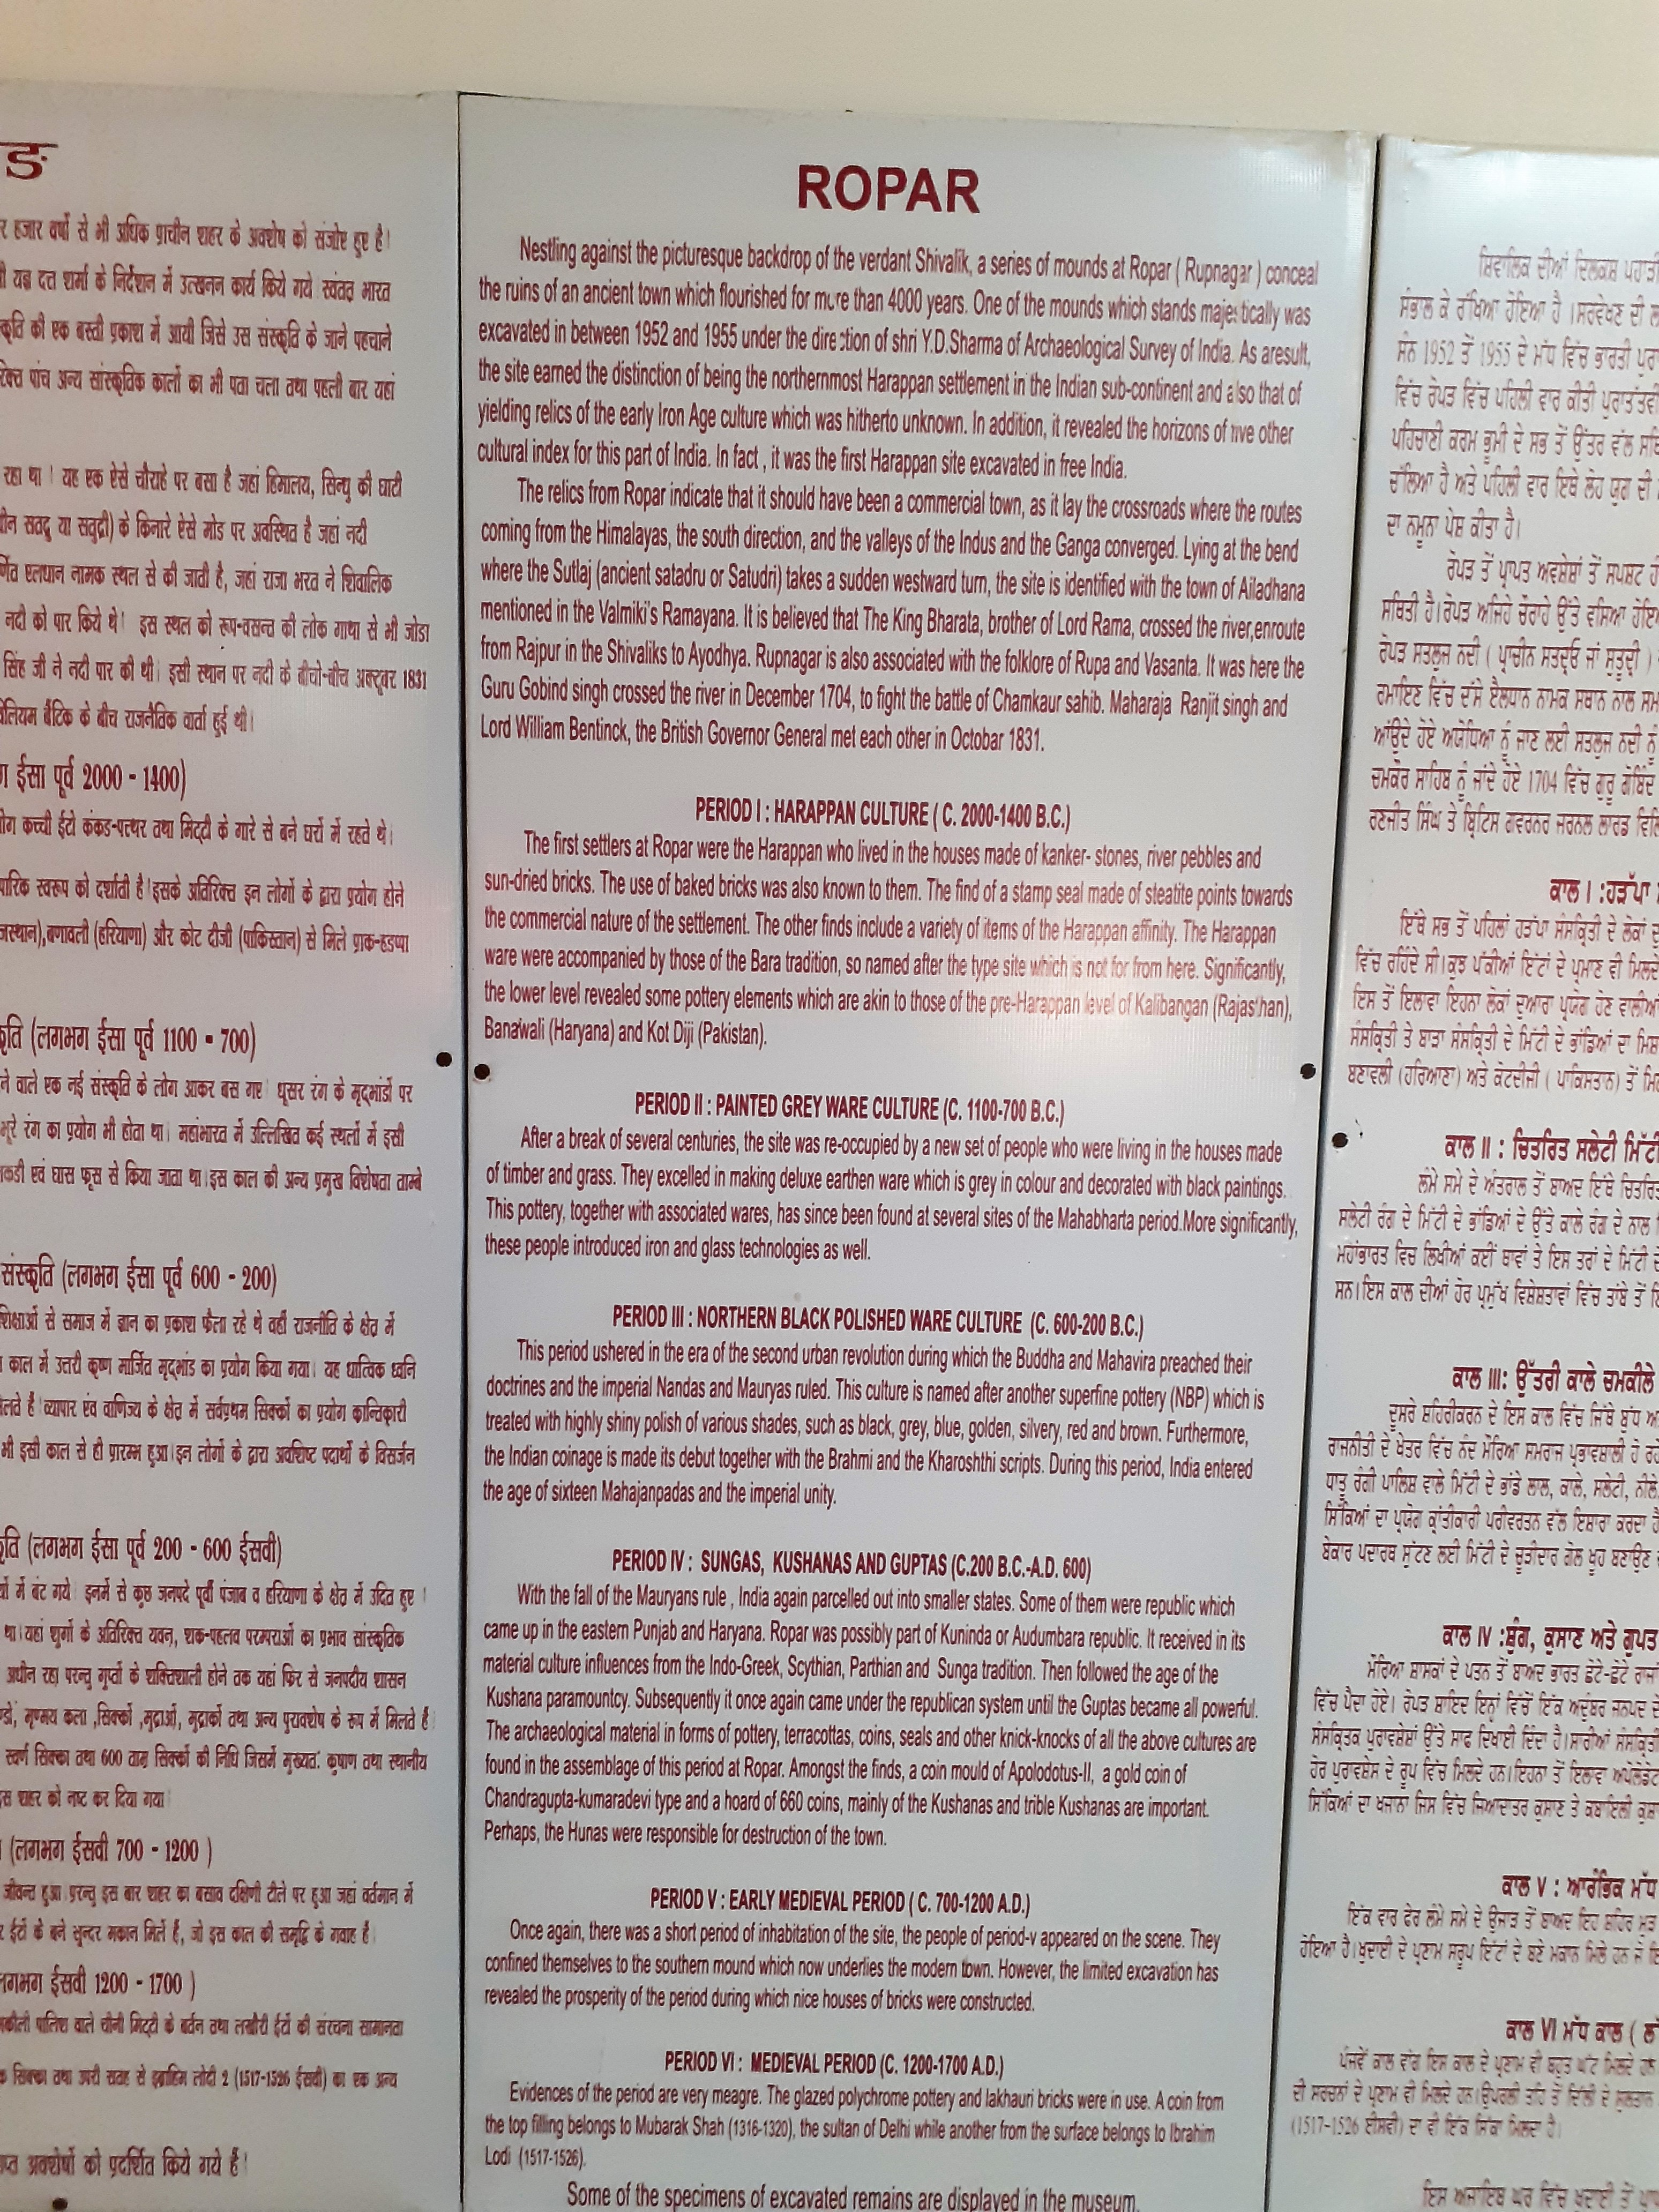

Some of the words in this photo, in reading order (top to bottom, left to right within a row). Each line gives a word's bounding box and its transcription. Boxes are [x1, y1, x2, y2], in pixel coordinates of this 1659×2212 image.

[2, 136, 62, 186] ड.
[791, 156, 985, 219] ROPAR
[2, 461, 25, 488] रहा
[10, 265, 35, 294] यज्ञ
[10, 214, 47, 244] हजार
[24, 463, 44, 489] था़
[28, 308, 47, 342] की
[22, 510, 55, 546] सतद्रु
[27, 362, 53, 392] पाच
[21, 557, 68, 587] एलधान
[35, 267, 59, 293] दत्त
[46, 210, 73, 244] वर्षों
[47, 316, 73, 345] एक
[54, 512, 74, 539] या
[54, 365, 86, 395] अन्य
[58, 463, 82, 492] यह
[57, 257, 91, 296] शर्मा
[74, 208, 91, 246] से
[72, 310, 105, 346] बस्ती
[68, 561, 109, 587] नामक
[73, 509, 112, 545] सतुद्री
[82, 464, 108, 494] एक
[91, 211, 113, 246] ਮੀ
[94, 257, 110, 293] क॓
[86, 358, 148, 398] साਂस्कृतिक
[106, 458, 132, 495] ऐसे
[114, 506, 132, 541] के
[109, 563, 142, 589] स्‍थल
[107, 318, 147, 347] प्रकाश
[114, 211, 153, 247] अधिक
[109, 256, 159, 299] निर्देशन
[133, 458, 170, 496] चौराहे
[143, 557, 160, 590] से
[131, 503, 174, 544] किनारे
[145, 311, 164, 348] में
[149, 358, 185, 398] कार्लो
[159, 261, 176, 298] में
[161, 557, 179, 589] की
[152, 212, 192, 250] प्राचीन
[171, 468, 191, 494] प‍र
[166, 312, 197, 348] आयी
[174, 507, 201, 544] ऐसे
[185, 369, 206, 400] का
[181, 558, 211, 591] जाती
[175, 270, 229, 302] उत्खनन
[192, 469, 220, 498] बसा
[193, 221, 226, 252] शहर
[198, 312, 229, 350] जिसे
[199, 510, 228, 545] मोड
[206, 364, 226, 399] ਮੀ
[213, 557, 226, 592] है
[219, 462, 234, 497] है॓
[226, 212, 244, 250] के
[229, 518, 247, 545] पर
[227, 369, 252, 400] पता
[230, 322, 256, 350] उस
[227, 264, 260, 301] कार्य
[232, 559, 258, 591] जहां
[234, 462, 264, 498] जहां
[246, 215, 289, 256] अवशेष
[252, 373, 284, 401] चला
[259, 266, 290, 302] किये
[250, 510, 300, 547] अवस्थित
[261, 567, 291, 592] राजा
[255, 316, 303, 357] संस्कृति
[262, 458, 315, 501] हि‍मालय
[282, 373, 310, 403] तथा
[289, 216, 310, 256] को
[288, 266, 317, 306] गये
[292, 567, 323, 593] भरत
[300, 511, 316, 548] है
[302, 317, 321, 356] के
[311, 369, 347, 405] पहली
[316, 515, 344, 548] जहां
[323, 563, 339, 594] नेे
[311, 216, 353, 255] सजोर
[318, 463, 353, 509] सिन्धु
[321, 318, 352, 355] जाने
[318, 267, 359, 305] स्वंतत
[343, 513, 371, 550] नदी
[346, 373, 371, 406] बार
[349, 226, 371, 264] हुए
[356, 465, 375, 499] की
[338, 561, 396, 597] शिवालिक
[351, 318, 399, 361] पहचाने
[357, 278, 395, 307] भारत
[371, 218, 387, 256] है॓
[371, 369, 401, 405] यहां
[373, 466, 408, 502] घाटी
[473, 353, 504, 385] the
[476, 274, 503, 304] the
[476, 552, 526, 583] where
[474, 434, 530, 467] cultural
[472, 391, 534, 432] yielding
[477, 513, 533, 552] coming
[474, 317, 554, 346] excavated
[502, 353, 531, 387] site
[503, 273, 542, 307] ruins
[511, 473, 546, 506] The
[526, 555, 551, 584] the
[517, 231, 579, 271] Nestling
[533, 513, 568, 546] from
[529, 433, 573, 466] index
[543, 274, 562, 307] of
[533, 394, 576, 428] relics
[530, 355, 585, 388] eamed
[552, 314, 569, 347] in
[545, 471, 586, 506] relics
[559, 279, 582, 310] an
[550, 554, 597, 592] Sutlaj
[566, 514, 594, 545] the
[569, 434, 594, 467] for
[575, 394, 593, 430] of
[584, 356, 610, 389] the
[569, 315, 633, 349] between
[586, 475, 622, 509] from
[592, 397, 617, 428] the
[578, 234, 634, 274] against
[593, 434, 623, 467] this
[581, 276, 637, 307] ancient
[599, 554, 654, 592] ancient
[593, 515, 669, 555] Himalayas
[618, 397, 657, 436] early
[622, 439, 654, 473] part
[622, 476, 668, 514] Ropar
[609, 353, 684, 391] distinction
[634, 235, 661, 268] the
[632, 316, 671, 350] 1952
[635, 279, 674, 309] town
[653, 436, 672, 468] of
[656, 397, 687, 429] Iron
[652, 558, 709, 589] satadru
[671, 319, 701, 349] and
[674, 519, 701, 553] the
[671, 435, 711, 472] India.
[682, 355, 702, 390] of
[667, 477, 724, 511] indicate
[674, 275, 720, 311] which
[660, 235, 745, 276] picturesque
[687, 399, 718, 436] Age
[709, 558, 726, 590] or
[702, 318, 740, 349] 1955
[701, 521, 741, 549] south
[700, 354, 743, 399] being
[714, 438, 731, 470] In
[725, 483, 757, 510] that
[718, 401, 770, 429] culture
[731, 441, 762, 470] fact
[717, 279, 790, 314] flourished
[727, 559, 780, 594] Satudri
[743, 360, 770, 392] the
[739, 320, 783, 352] under
[756, 479, 768, 512] it
[741, 520, 804, 554] direction
[766, 441, 781, 472] it
[745, 235, 814, 277] backdrop
[767, 402, 812, 431] which
[767, 480, 818, 512] should
[782, 322, 810, 355] the
[782, 449, 812, 473] was
[790, 280, 812, 315] for
[784, 562, 826, 594] takes
[769, 362, 865, 397] northernmost
[813, 239, 833, 276] of
[807, 524, 839, 555] and
[812, 443, 839, 474] the
[812, 408, 844, 433] was
[824, 567, 838, 595] a
[812, 285, 851, 315] me
[817, 482, 855, 514] have
[809, 321, 873, 355] direction
[831, 242, 857, 274] the
[838, 522, 864, 554] the
[839, 441, 869, 474] first
[836, 563, 893, 596] sudden
[851, 282, 888, 316] than
[844, 402, 902, 434] hitherto
[855, 484, 893, 513] been
[872, 324, 891, 354] of
[856, 242, 914, 275] vedant
[864, 524, 914, 561] valleys
[892, 491, 905, 514] a
[864, 363, 935, 403] Harappan
[869, 443, 940, 482] Harappan
[890, 322, 920, 355] shri
[886, 283, 925, 315] 4000
[913, 521, 932, 559] of
[892, 566, 960, 595] westward
[900, 407, 966, 434] unknown
[919, 323, 950, 358] Y.D.
[914, 242, 973, 278] Shivalik,
[923, 291, 967, 322] years.
[932, 524, 958, 558] the
[905, 484, 989, 515] commercial
[939, 447, 968, 475] site
[934, 365, 1012, 398] settlement
[959, 565, 989, 597] turn
[948, 324, 1006, 358] Sharma
[957, 525, 999, 558] Indus
[970, 407, 988, 436] In
[974, 251, 988, 278] a
[970, 286, 1004, 320] One
[968, 451, 1041, 477] excavated
[991, 567, 1020, 599] the
[989, 487, 1023, 518] town
[988, 248, 1035, 278] series
[1003, 283, 1022, 319] of
[997, 527, 1029, 559] and
[1005, 325, 1025, 360] of
[988, 408, 1045, 438] addition
[1011, 370, 1027, 398] in
[1020, 567, 1047, 597] site
[1022, 288, 1048, 321] the
[1023, 492, 1050, 521] as
[1027, 528, 1053, 561] the
[1028, 367, 1053, 399] the
[1035, 246, 1053, 280] of
[1042, 448, 1057, 479] in
[1048, 488, 1060, 522] it
[1047, 565, 1063, 600] is
[1049, 410, 1064, 440] it
[1060, 488, 1084, 527] lay
[1019, 327, 1129, 368] Archaeological
[1059, 450, 1089, 480] free
[1053, 370, 1100, 401] Indian
[1047, 287, 1107, 324] mounds
[1053, 528, 1103, 566] Ganga
[1052, 252, 1111, 281] mounds
[1062, 412, 1125, 443] revealed
[1062, 567, 1128, 600] identified
[1083, 491, 1110, 522] the
[1088, 450, 1125, 481] India
[1110, 253, 1129, 284] at
[1106, 289, 1149, 325] which
[1125, 412, 1150, 442] the
[1103, 532, 1179, 566] converged.
[1126, 569, 1158, 602] with
[1100, 368, 1195, 404] sub-continent
[1109, 490, 1189, 522] crossroads
[1127, 247, 1174, 290] Ropar
[1126, 331, 1179, 371] Survey
[1158, 571, 1185, 601] the
[1148, 290, 1199, 326] stands
[1149, 412, 1212, 443] horizons
[1177, 334, 1198, 366] of
[1178, 530, 1222, 572] Lying
[1185, 573, 1220, 602] town
[1194, 375, 1224, 409] and
[1187, 495, 1233, 525] where
[1197, 333, 1235, 367] India.
[1179, 251, 1258, 293] Rupnagar
[1212, 415, 1231, 446] of
[1220, 532, 1237, 569] at
[1219, 573, 1239, 603] of
[1197, 294, 1283, 335] majestically
[1224, 378, 1258, 408] also
[1228, 419, 1258, 445] live
[1231, 492, 1259, 525] the
[1236, 335, 1259, 370] As
[1238, 533, 1263, 566] the
[1235, 572, 1309, 604] Ailadhana
[1257, 376, 1288, 409] that
[1257, 418, 1297, 448] other
[1258, 498, 1306, 527] routes
[1263, 533, 1302, 567] bend
[1258, 336, 1317, 372] aresult.
[1262, 257, 1325, 288] conceal
[1287, 378, 1305, 409] of
[1282, 301, 1314, 331] was
[1384, 506, 1405, 540] ਦਾ
[1390, 326, 1420, 369] ਸੰਨ
[1388, 373, 1425, 415] ਵਿੱਚ
[1381, 460, 1437, 497] ਤਂਲਿਆ
[1396, 281, 1438, 324] ਸੰਭਾਲ
[1386, 415, 1448, 458] ਪਹਿਚਾਣੀ
[1403, 508, 1443, 553] ਨਮੂਨਾ
[1419, 334, 1457, 367] 1952
[1424, 369, 1459, 415] ਰੋਪਤ
[1433, 458, 1453, 499] ਹੈ
[1434, 283, 1454, 324] ਕੇ
[1441, 503, 1468, 542] ਪੇਸ਼
[1440, 544, 1478, 585] ਰੋਪੜ
[1447, 423, 1482, 456] ਕਰਮ
[1457, 327, 1478, 369] ਤੋਂ
[1454, 460, 1481, 500] ਅਤੇ
[1458, 369, 1492, 415] ਵਿੱਚ
[1454, 285, 1504, 324] ਰੱਖਿਆ
[1467, 502, 1501, 543] ਕੀਤਾ
[1478, 548, 1498, 587] ਤੇਂ
[1476, 419, 1510, 465] ਭੂਮੀ
[1477, 337, 1515, 371] 1955
[1481, 461, 1525, 502] ਪਹਿਲੀ
[1473, 239, 1538, 285] ਸ਼ਿਵਾਲਿਕ
[1500, 502, 1520, 543] ਹੈ
[1494, 550, 1534, 592] ਪ੍ਰਾਪਤ
[1492, 374, 1537, 417] ਪਹਿਲੀ
[1510, 417, 1528, 458] ਦੇ
[1514, 331, 1531, 371] ਦੇ
[1501, 286, 1548, 327] ਹੋਇਆ
[1523, 468, 1552, 499] ਵਾਰ
[1527, 426, 1551, 458] ਸਭ
[1532, 333, 1560, 372] ਮੱਧ
[1534, 384, 1564, 418] ਵਾਰ
[1531, 243, 1574, 288] ਦੀਆ
[1548, 284, 1567, 326] ਹੈ
[1549, 418, 1572, 459] ਤੋਂ
[1534, 546, 1587, 590] ਅਵਸ਼ੇਸ਼ਾ
[1551, 462, 1581, 503] ਇਥੇ
[1560, 332, 1595, 375] ਵਿਚ
[1563, 373, 1600, 418] ਕੀਤੀ
[1565, 421, 1609, 464] ਉੱਤਰ
[1581, 464, 1605, 503] ਲੋਹ
[1583, 548, 1607, 590] ਤੋਂ
[1571, 240, 1624, 288] ਦਿਲਕਸ਼
[1572, 290, 1627, 331] ਸਰਵੇਖਣ
[1593, 334, 1635, 375] ਭਾਰਤੀ
[1604, 473, 1635, 510] ਯੁਗ
[1607, 426, 1637, 461] ਵੱਲ
[1604, 558, 1648, 587] ਸਪਸ਼ਟ
[1625, 290, 1649, 332] ਦੀ
[1634, 464, 1656, 506] ਦੀ
[1, 602, 31, 634] नदी
[29, 601, 52, 637] को
[51, 610, 74, 635] पार
[76, 600, 106, 635] किये
[105, 603, 121, 635] थे
[137, 610, 161, 641] इस
[161, 612, 194, 638] स्‍थल
[195, 607, 215, 639] को
[216, 613, 278, 640] रूप-वसन्त
[279, 608, 299, 641] की
[300, 610, 330, 641] लोक
[331, 616, 364, 642] गाथा
[366, 611, 381, 644] से
[382, 611, 402, 642] भी
[402, 610, 432, 644] जोडा
[476, 594, 555, 624] mentioned
[553, 594, 573, 626] in
[570, 596, 596, 629] the
[596, 594, 660, 630] Valmiki
[659, 597, 736, 635] Ramayana
[741, 597, 755, 631] It
[754, 603, 770, 631] is
[769, 600, 830, 633] believed
[829, 602, 862, 633] that
[859, 602, 891, 634] The
[890, 602, 925, 641] King
[925, 606, 981, 635] Bharata
[984, 606, 1038, 638] brother
[1036, 607, 1057, 637] of